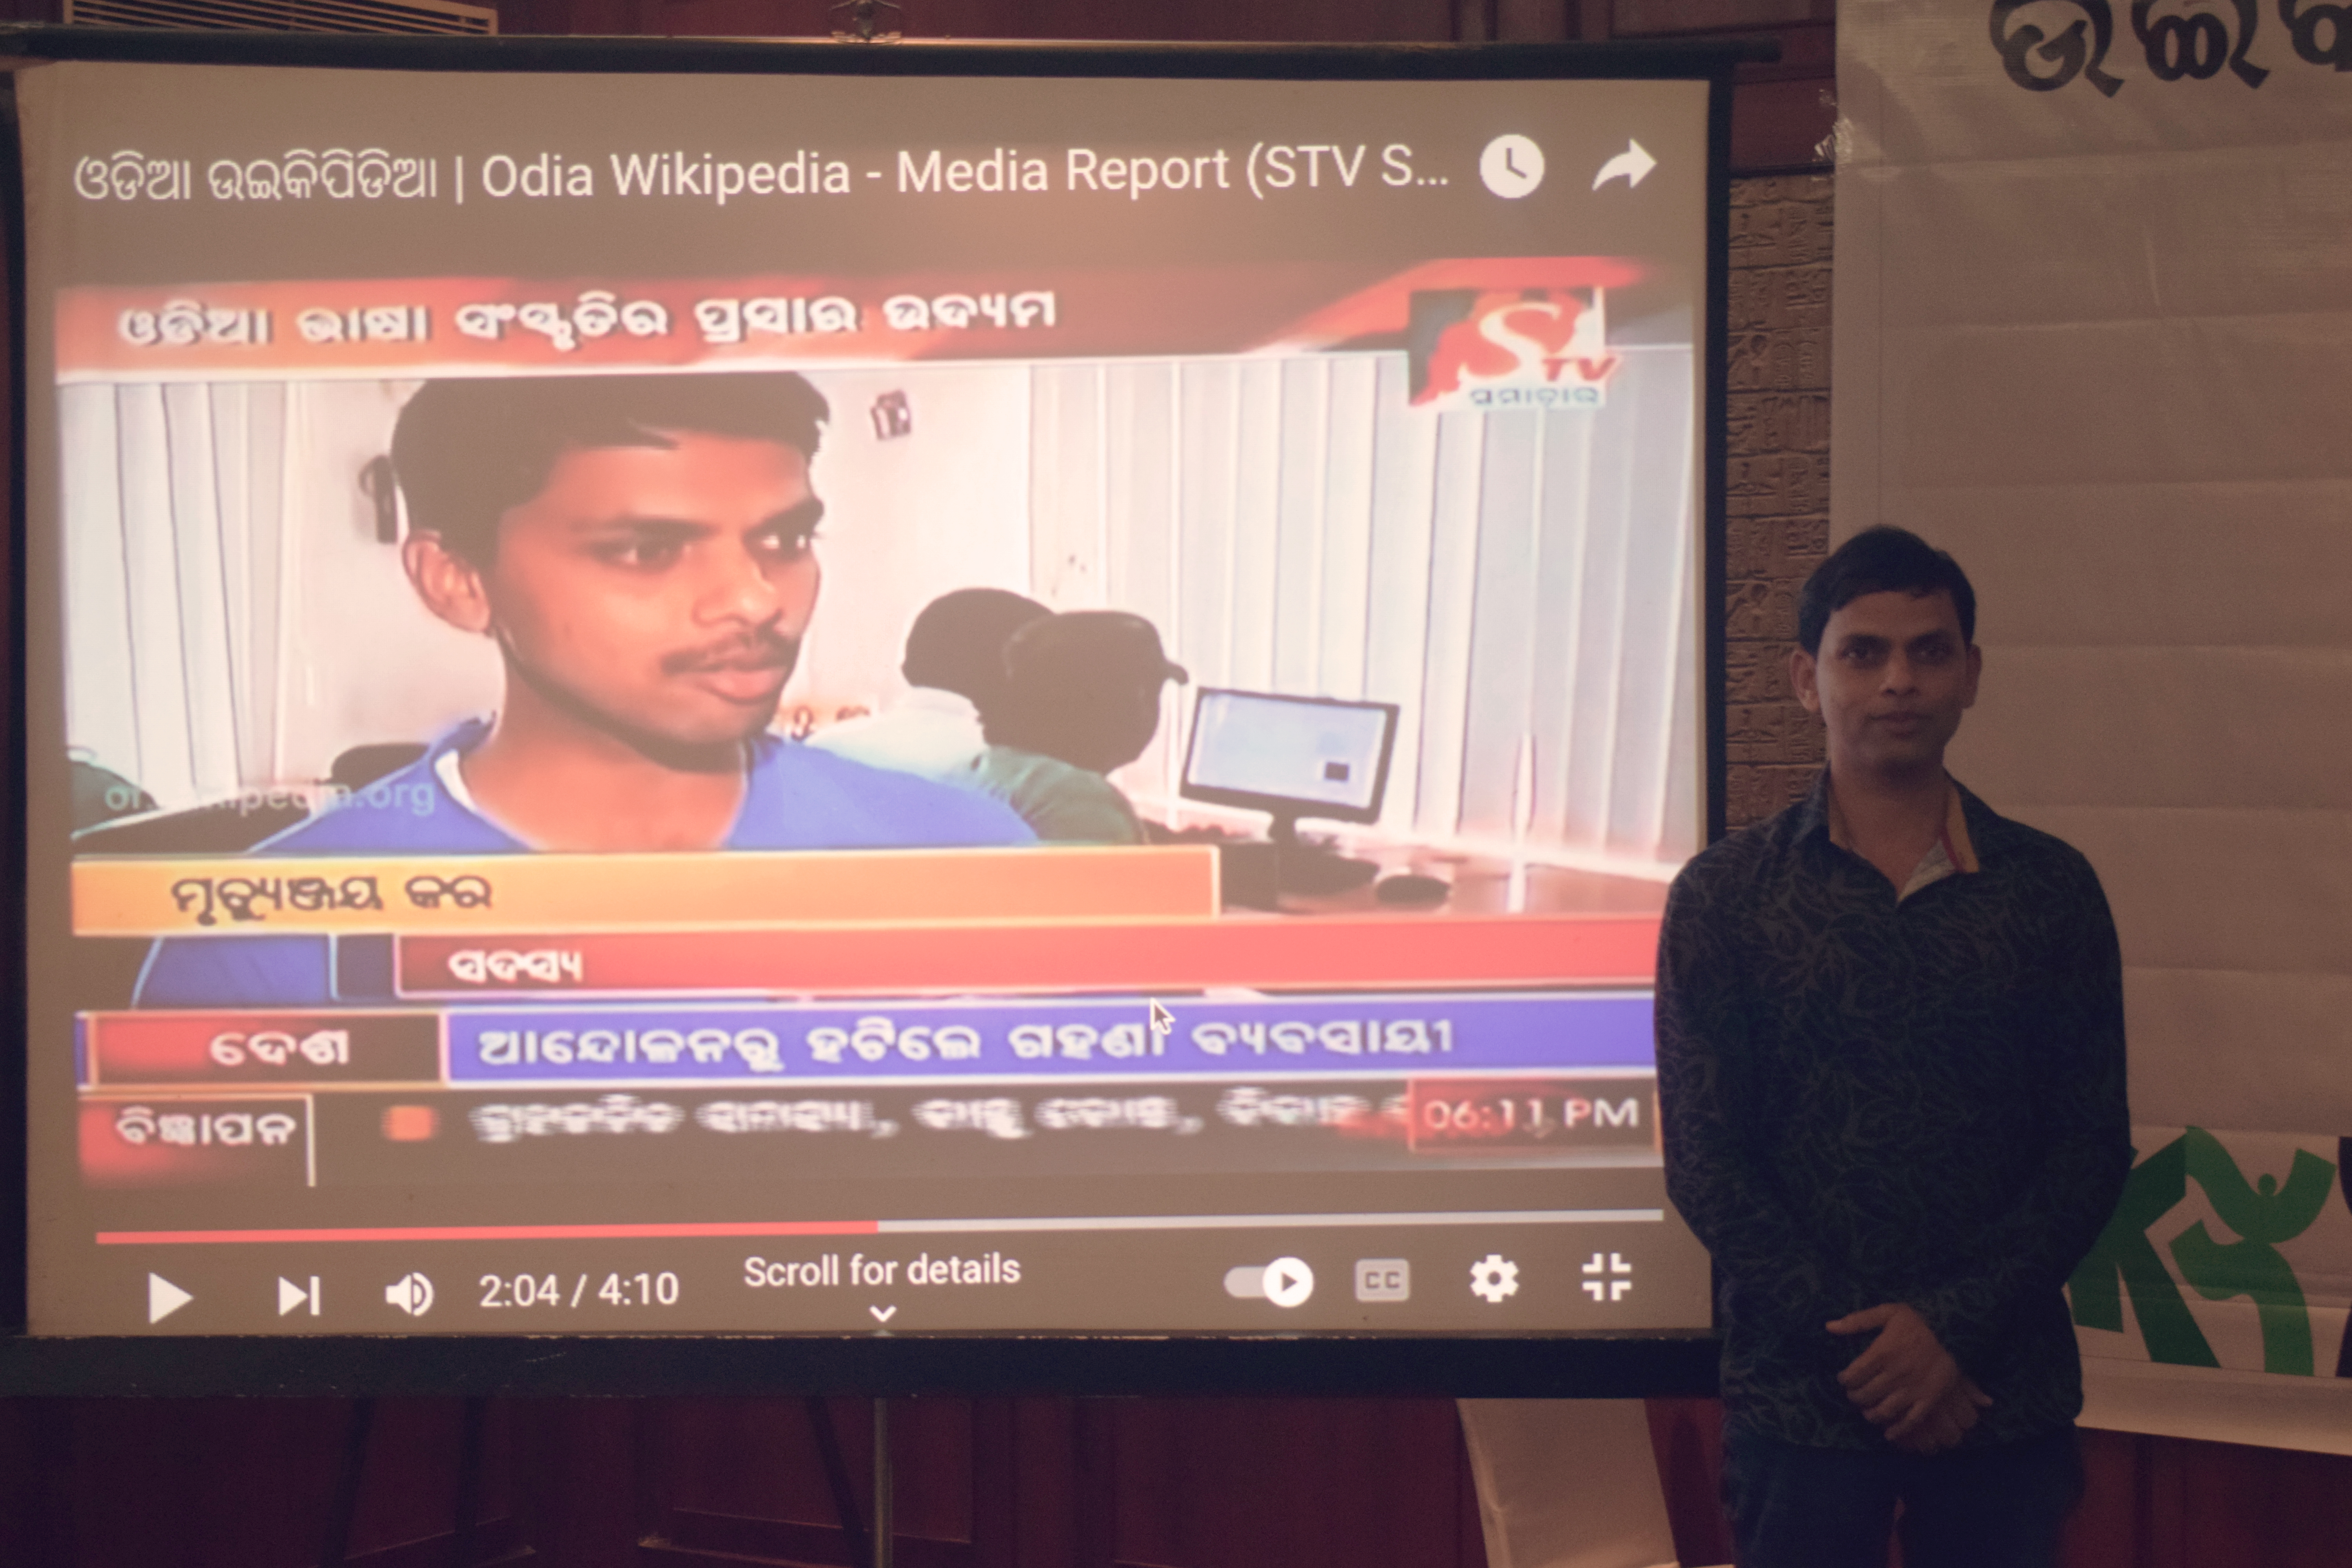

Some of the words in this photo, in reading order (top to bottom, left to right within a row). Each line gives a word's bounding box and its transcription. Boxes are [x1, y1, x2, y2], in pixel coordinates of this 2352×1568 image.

[67, 145, 195, 211] ଓଡିଆ
[204, 138, 444, 209] ଉଇକିପିଡିଆ
[475, 147, 596, 207] Odia
[604, 143, 859, 210] Wikipedia
[895, 136, 1054, 200] Media
[1062, 143, 1237, 207] Report
[1243, 132, 1417, 202] (STVS
[111, 293, 273, 353] ଓଡିଆ
[291, 302, 430, 350] ଭାଷା
[447, 282, 677, 357] ସଂସ୍କୃତିର
[689, 285, 859, 349] ପ୍ରସାର
[880, 286, 1060, 339] ଉଦ୍ୟମ
[162, 871, 390, 931] ମୃତ୍ୟୁଞ୍ଜୟ
[397, 869, 499, 913] କର
[446, 938, 588, 991] ସଦସ୍ୟ
[196, 1024, 350, 1073] ଦେଣ
[474, 1017, 793, 1079] ଆନ୍ଦୋଳନରୁ
[800, 1014, 981, 1072] ହଟିଲେ
[1000, 1001, 1178, 1072] ଗହଣା
[1189, 1014, 1457, 1062] ବ୍ୟବସାୟୀ
[105, 1100, 301, 1148] ବିଜ୍ଞାପନ
[1560, 1091, 1642, 1134] PM
[472, 1268, 569, 1319] 2:04
[588, 1265, 684, 1317] 4:10
[739, 1246, 845, 1295] Scroll
[842, 1243, 903, 1288] for
[904, 1247, 1027, 1291] details